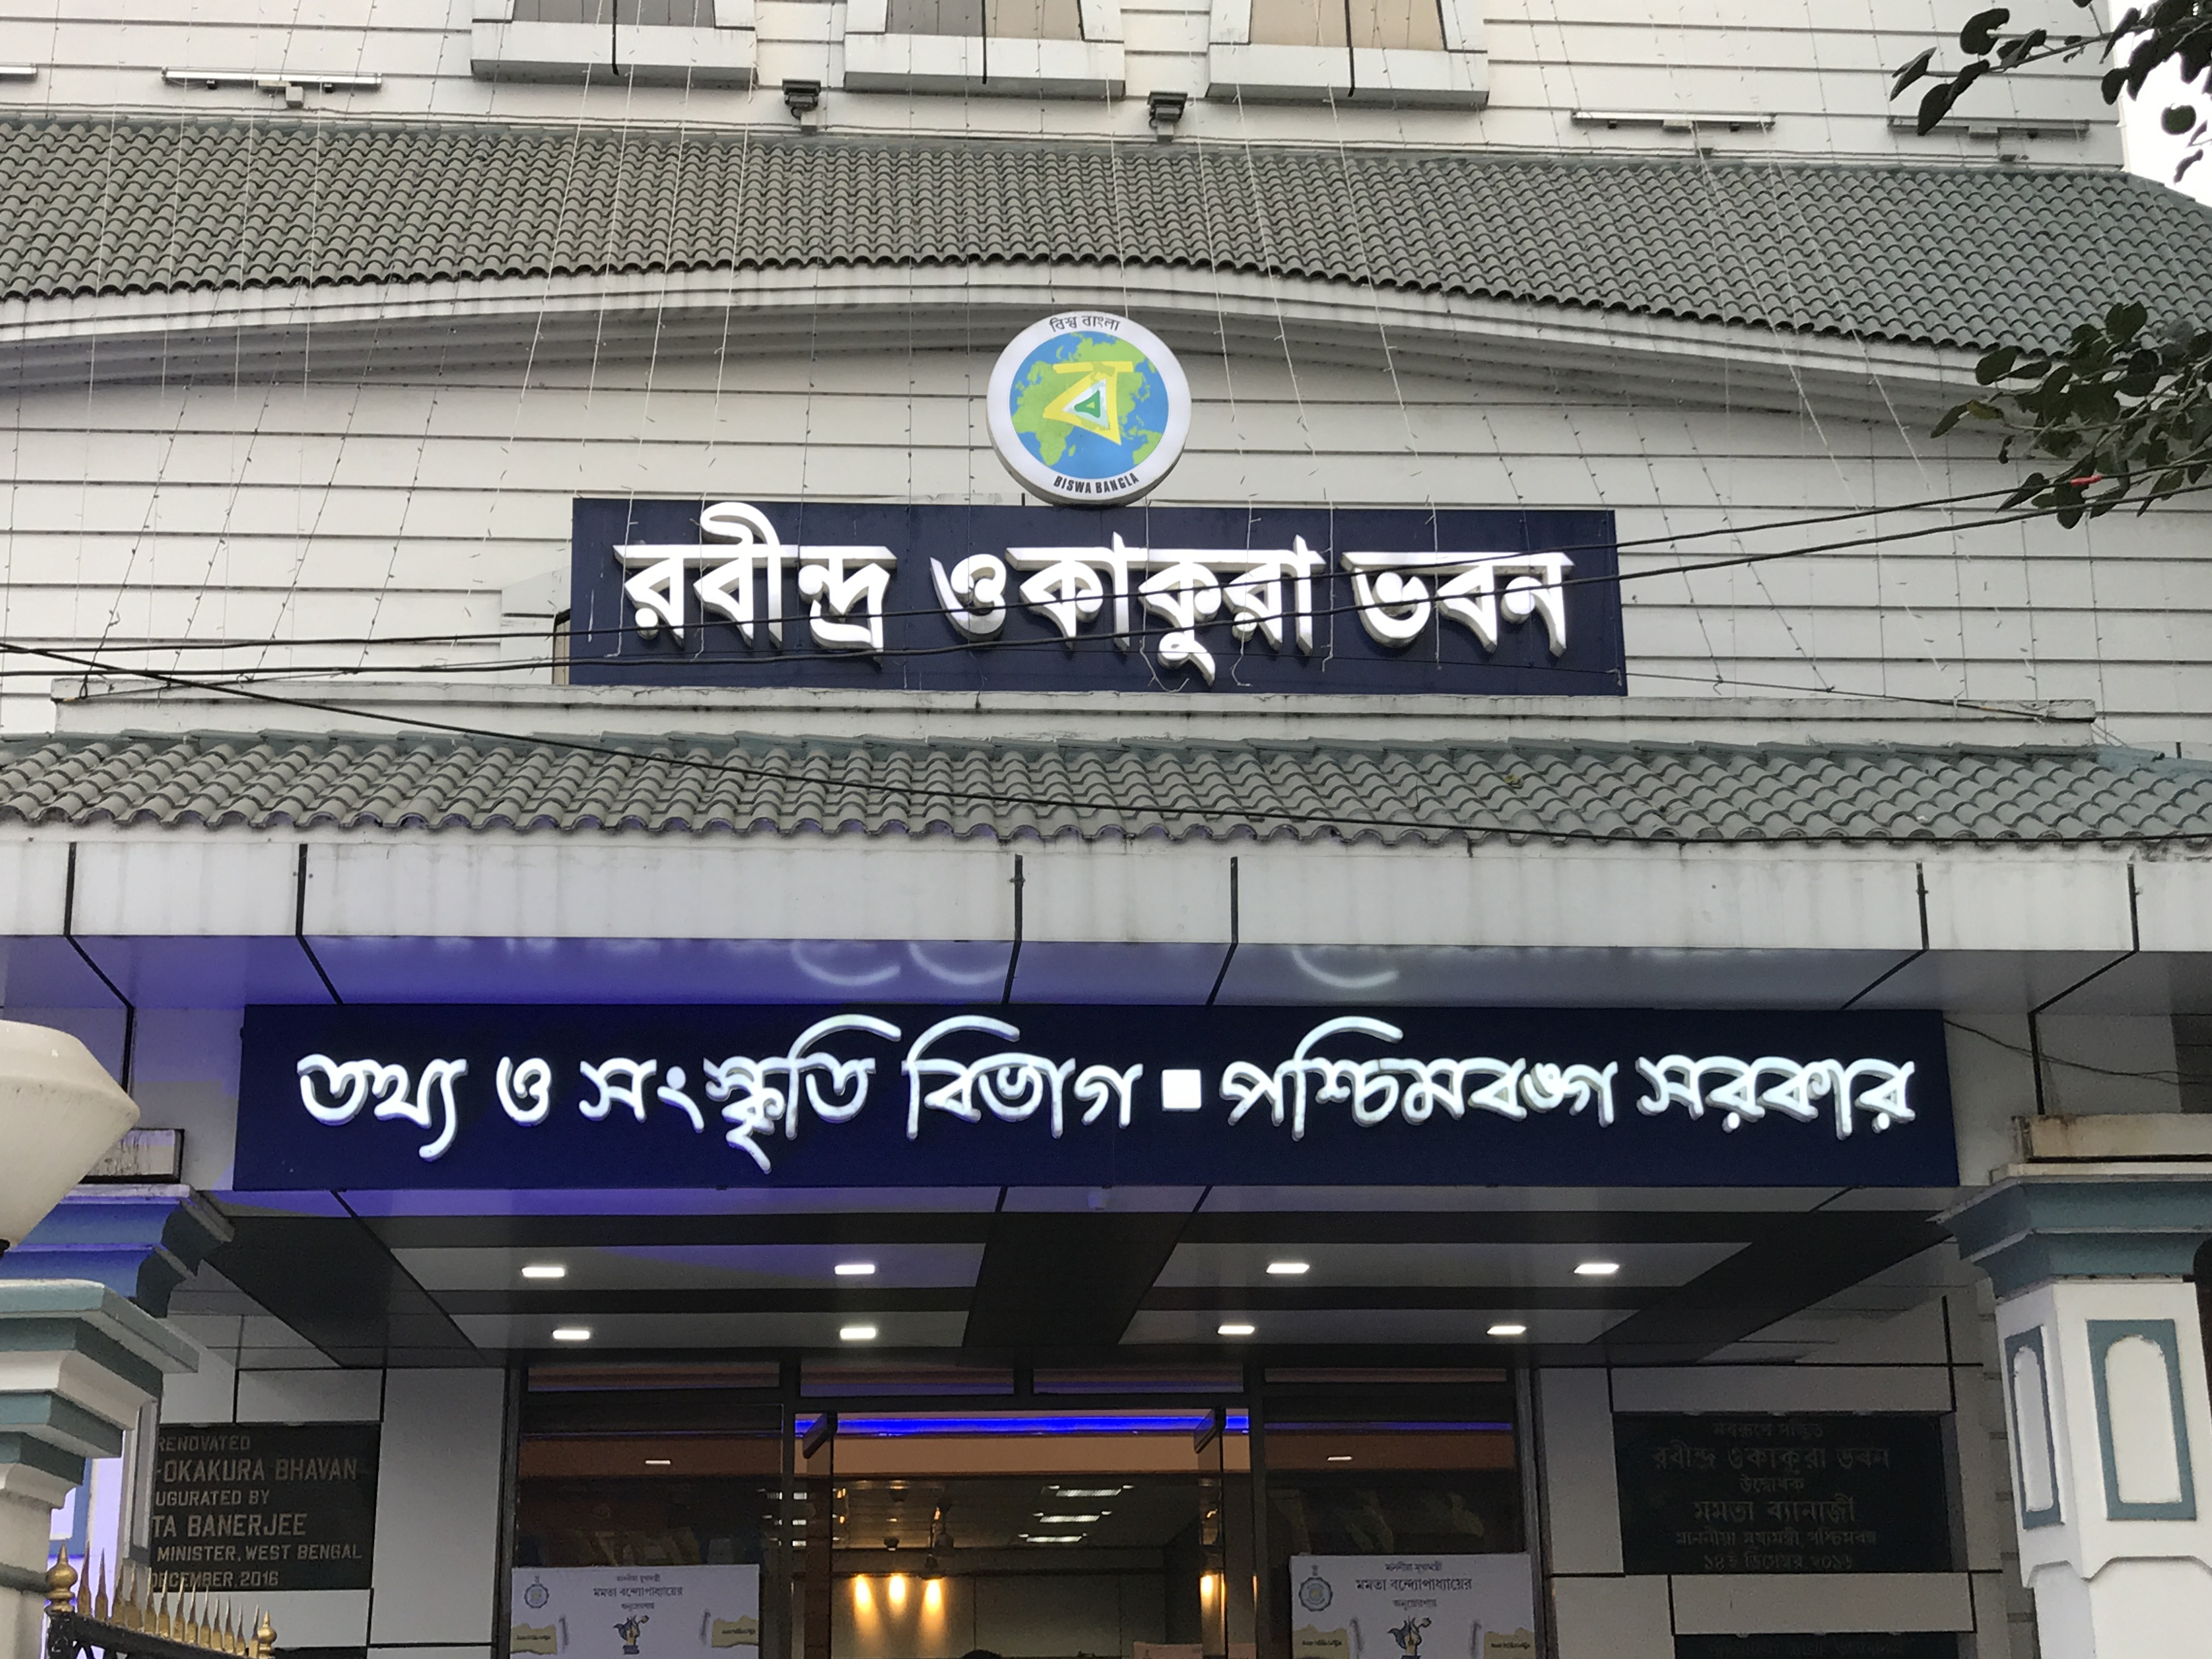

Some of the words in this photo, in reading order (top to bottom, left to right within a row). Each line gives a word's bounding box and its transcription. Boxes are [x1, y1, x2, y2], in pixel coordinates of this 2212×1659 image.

[1042, 307, 1081, 341] বিশ্ব
[1075, 304, 1130, 341] বাংলা
[1053, 466, 1097, 497] BISWA
[1093, 466, 1145, 500] BANGLA
[592, 488, 915, 666] রবীন্দ্র
[929, 524, 1335, 695] ওকাকুরা
[1339, 543, 1579, 665] ভবন
[1211, 994, 1622, 1149] পশ্চিমবঙ্গ
[283, 1041, 484, 1175] তথ্য
[483, 1039, 562, 1136] ও
[569, 997, 1165, 1183] সংস্কৃতি বিভাগ
[1633, 1042, 1922, 1145] সরকার
[154, 1430, 255, 1454] RENOVATED
[161, 1454, 266, 1484] OKAKURA
[271, 1451, 360, 1483] BHAVAN
[1649, 1433, 1724, 1477] রবীন্দ্র
[1734, 1467, 1809, 1496] উদ্বোধক
[1722, 1436, 1830, 1479] ওকাকুরা
[1827, 1441, 1896, 1472] ভবন
[148, 1567, 237, 1588] DECEMBER
[155, 1542, 240, 1565] MINISTER
[153, 1487, 246, 1509] UGURATED
[184, 1509, 310, 1541] BANERJEE
[236, 1564, 281, 1591] 2016
[246, 1487, 273, 1510] BY
[242, 1536, 291, 1562] WEST
[295, 1541, 365, 1563] BENGAL
[587, 1580, 619, 1601] মমতা
[619, 1581, 685, 1600] বন্দ্যোপ৷ধ্যয়ের
[1350, 1574, 1390, 1594] মমতা
[1389, 1574, 1474, 1593] বন্দ্যোপাধ্যায়ের
[1672, 1518, 1739, 1551] মাননীয়া
[1688, 1493, 1758, 1525] মমতা
[1740, 1522, 1802, 1550] সখ্যমন্ত্রী
[1737, 1548, 1808, 1576] ডিসেম্বর
[1762, 1488, 1857, 1527] ব্যানার্জী
[1803, 1521, 1881, 1549] পশ্চিমবঙ্গ